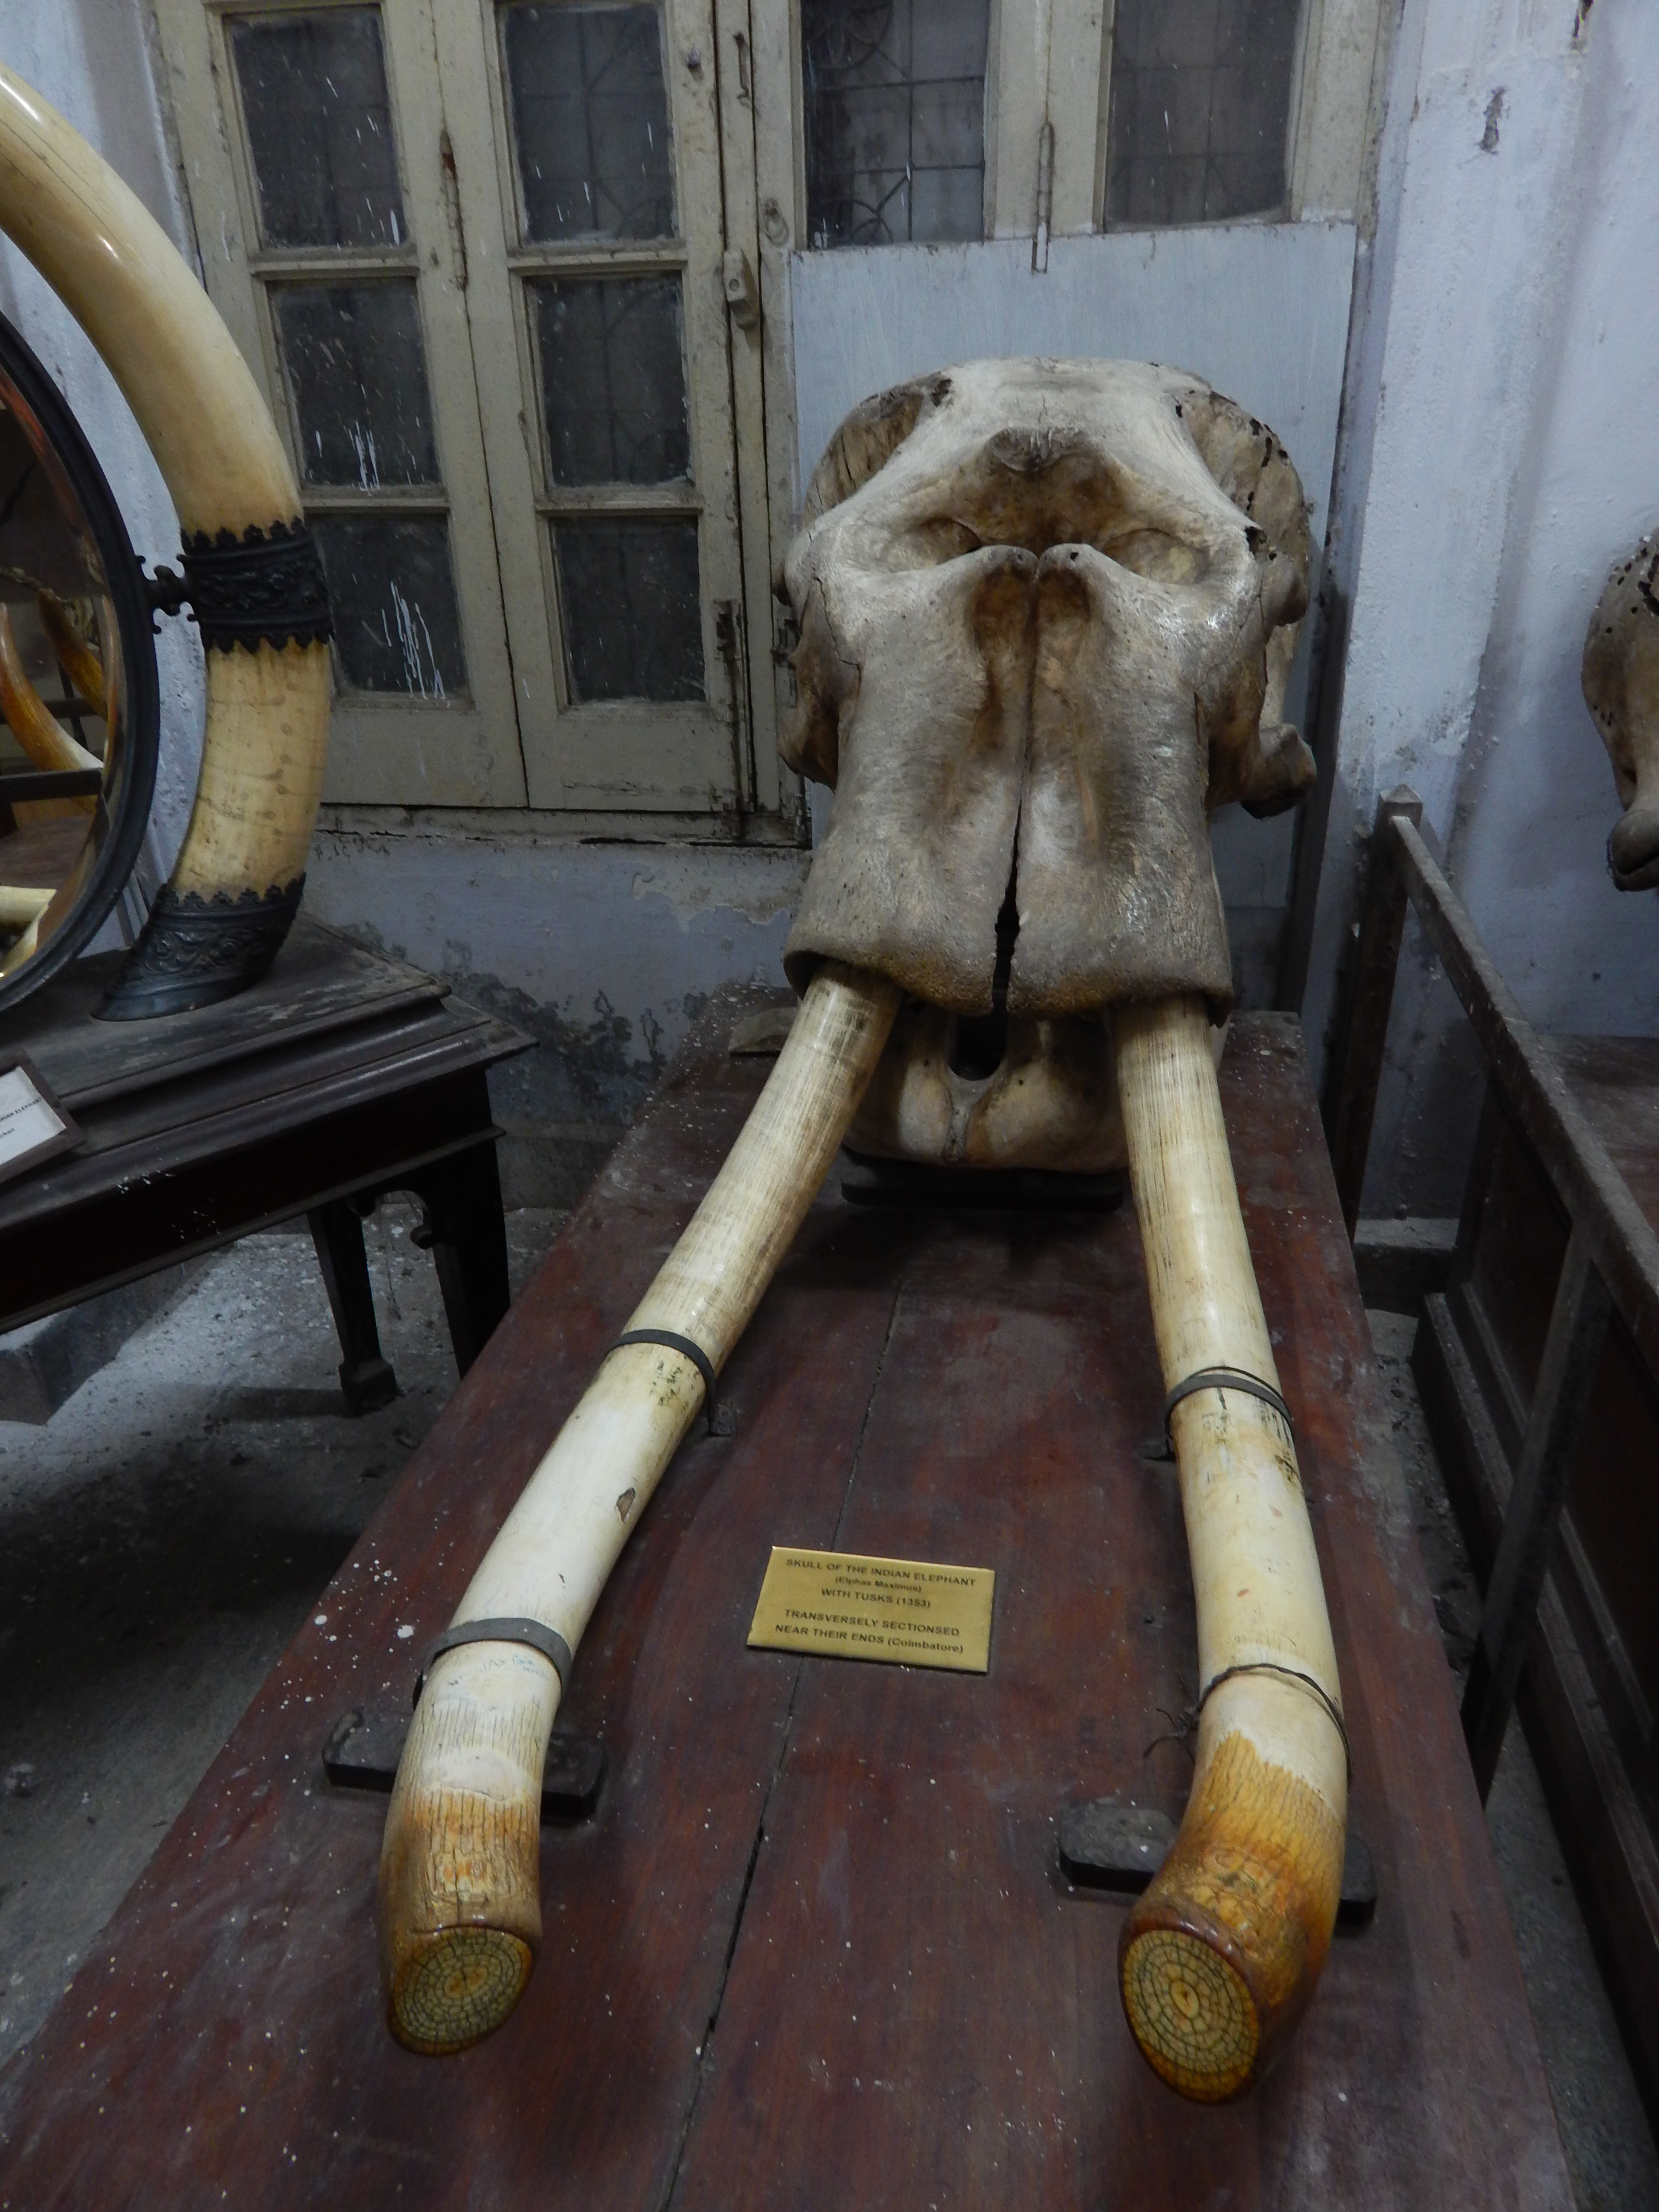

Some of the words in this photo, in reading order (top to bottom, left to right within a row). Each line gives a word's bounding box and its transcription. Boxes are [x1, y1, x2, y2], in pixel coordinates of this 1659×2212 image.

[780, 1556, 823, 1573] SKULL
[825, 1561, 842, 1575] OF
[821, 1586, 854, 1599] WITH
[844, 1562, 869, 1576] THE
[869, 1565, 912, 1582] INDIAN
[855, 1591, 929, 1611] TUSKS(1353)
[872, 1579, 922, 1595] Maximus)
[914, 1571, 977, 1587] ELEPHANT
[784, 1607, 880, 1629] TRANSVERSELY
[774, 1623, 809, 1635] NEAR
[809, 1625, 848, 1642] THEIR
[848, 1630, 886, 1648] ENDS
[879, 1619, 961, 1638] SECTIONSED
[891, 1635, 962, 1657] Coimbatore)